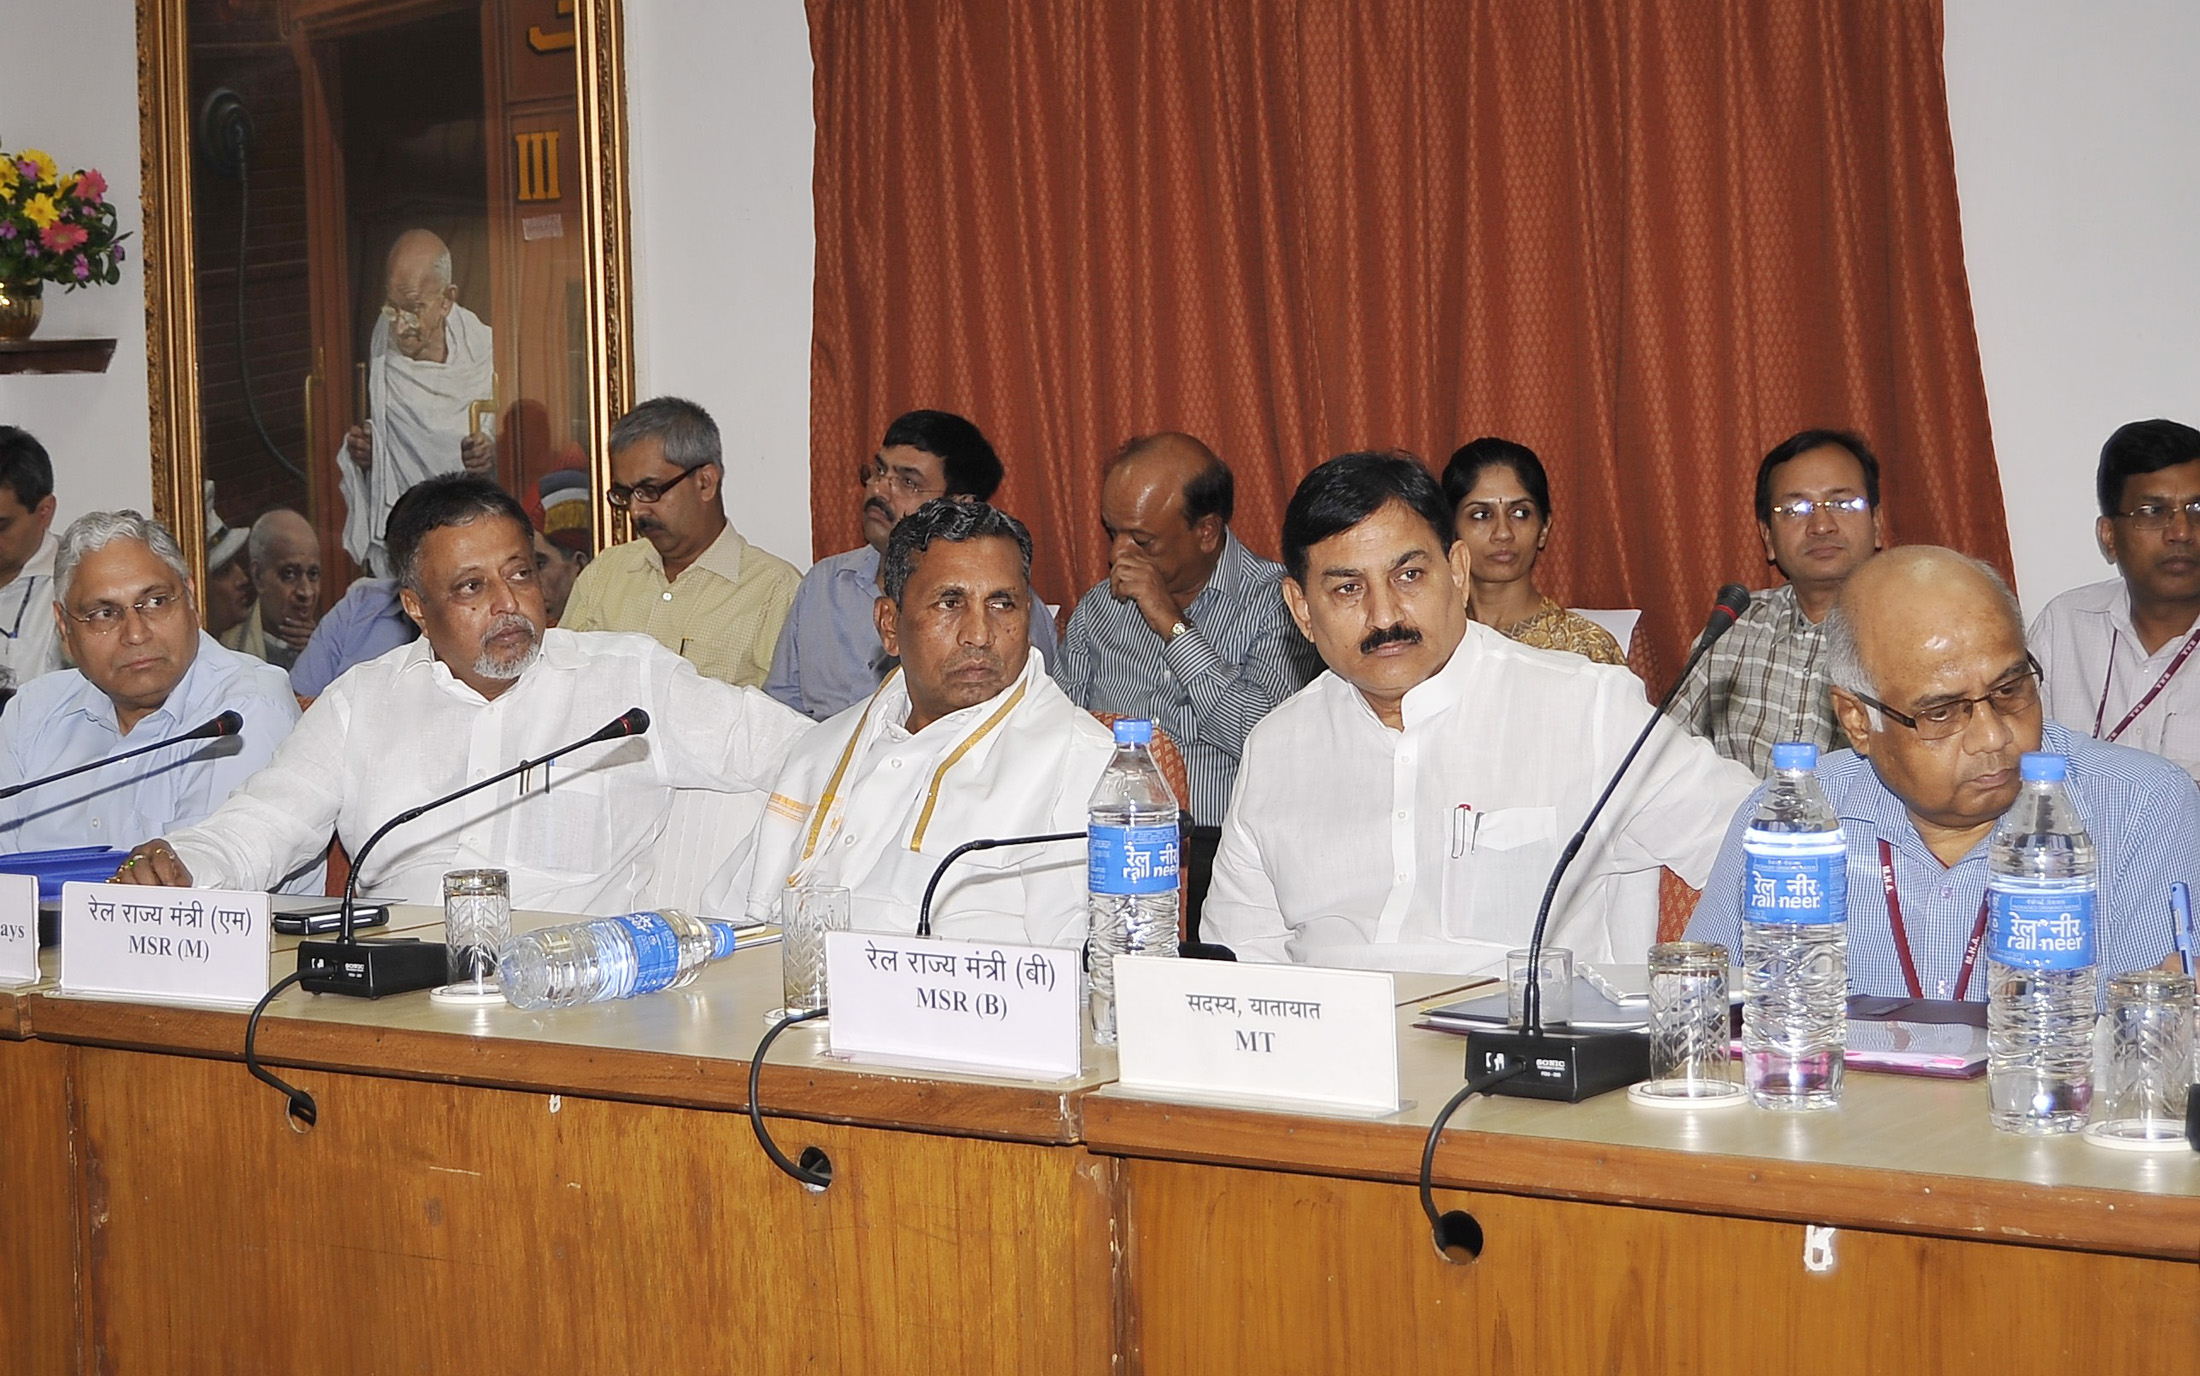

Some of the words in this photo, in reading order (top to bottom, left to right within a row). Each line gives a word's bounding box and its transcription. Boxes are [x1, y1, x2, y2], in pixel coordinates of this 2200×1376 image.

[1112, 838, 1157, 870] रेल
[1117, 863, 1157, 882] rail
[1744, 867, 1781, 897] रेल
[1783, 868, 1822, 897] नीर
[83, 889, 120, 927] रेल
[119, 899, 165, 933] राज्य
[167, 893, 207, 935] मंत्री
[214, 904, 253, 941] एम)
[1745, 891, 1778, 911] rail
[1773, 891, 1823, 912] neer.
[2003, 903, 2044, 941] रेल
[2045, 906, 2083, 940] नीर
[127, 931, 177, 960] MSR
[177, 934, 212, 970] (M)
[857, 933, 903, 979] रेल
[899, 947, 961, 980] राज्य
[959, 943, 1011, 985] मंत्री
[1018, 947, 1051, 989] बी
[2003, 931, 2041, 956] rail
[2036, 933, 2086, 954] neer
[909, 983, 1007, 1021] MSR(B)
[1185, 991, 1239, 1017] सदस्य
[1249, 994, 1324, 1021] यातायात
[1232, 1026, 1279, 1057] MT